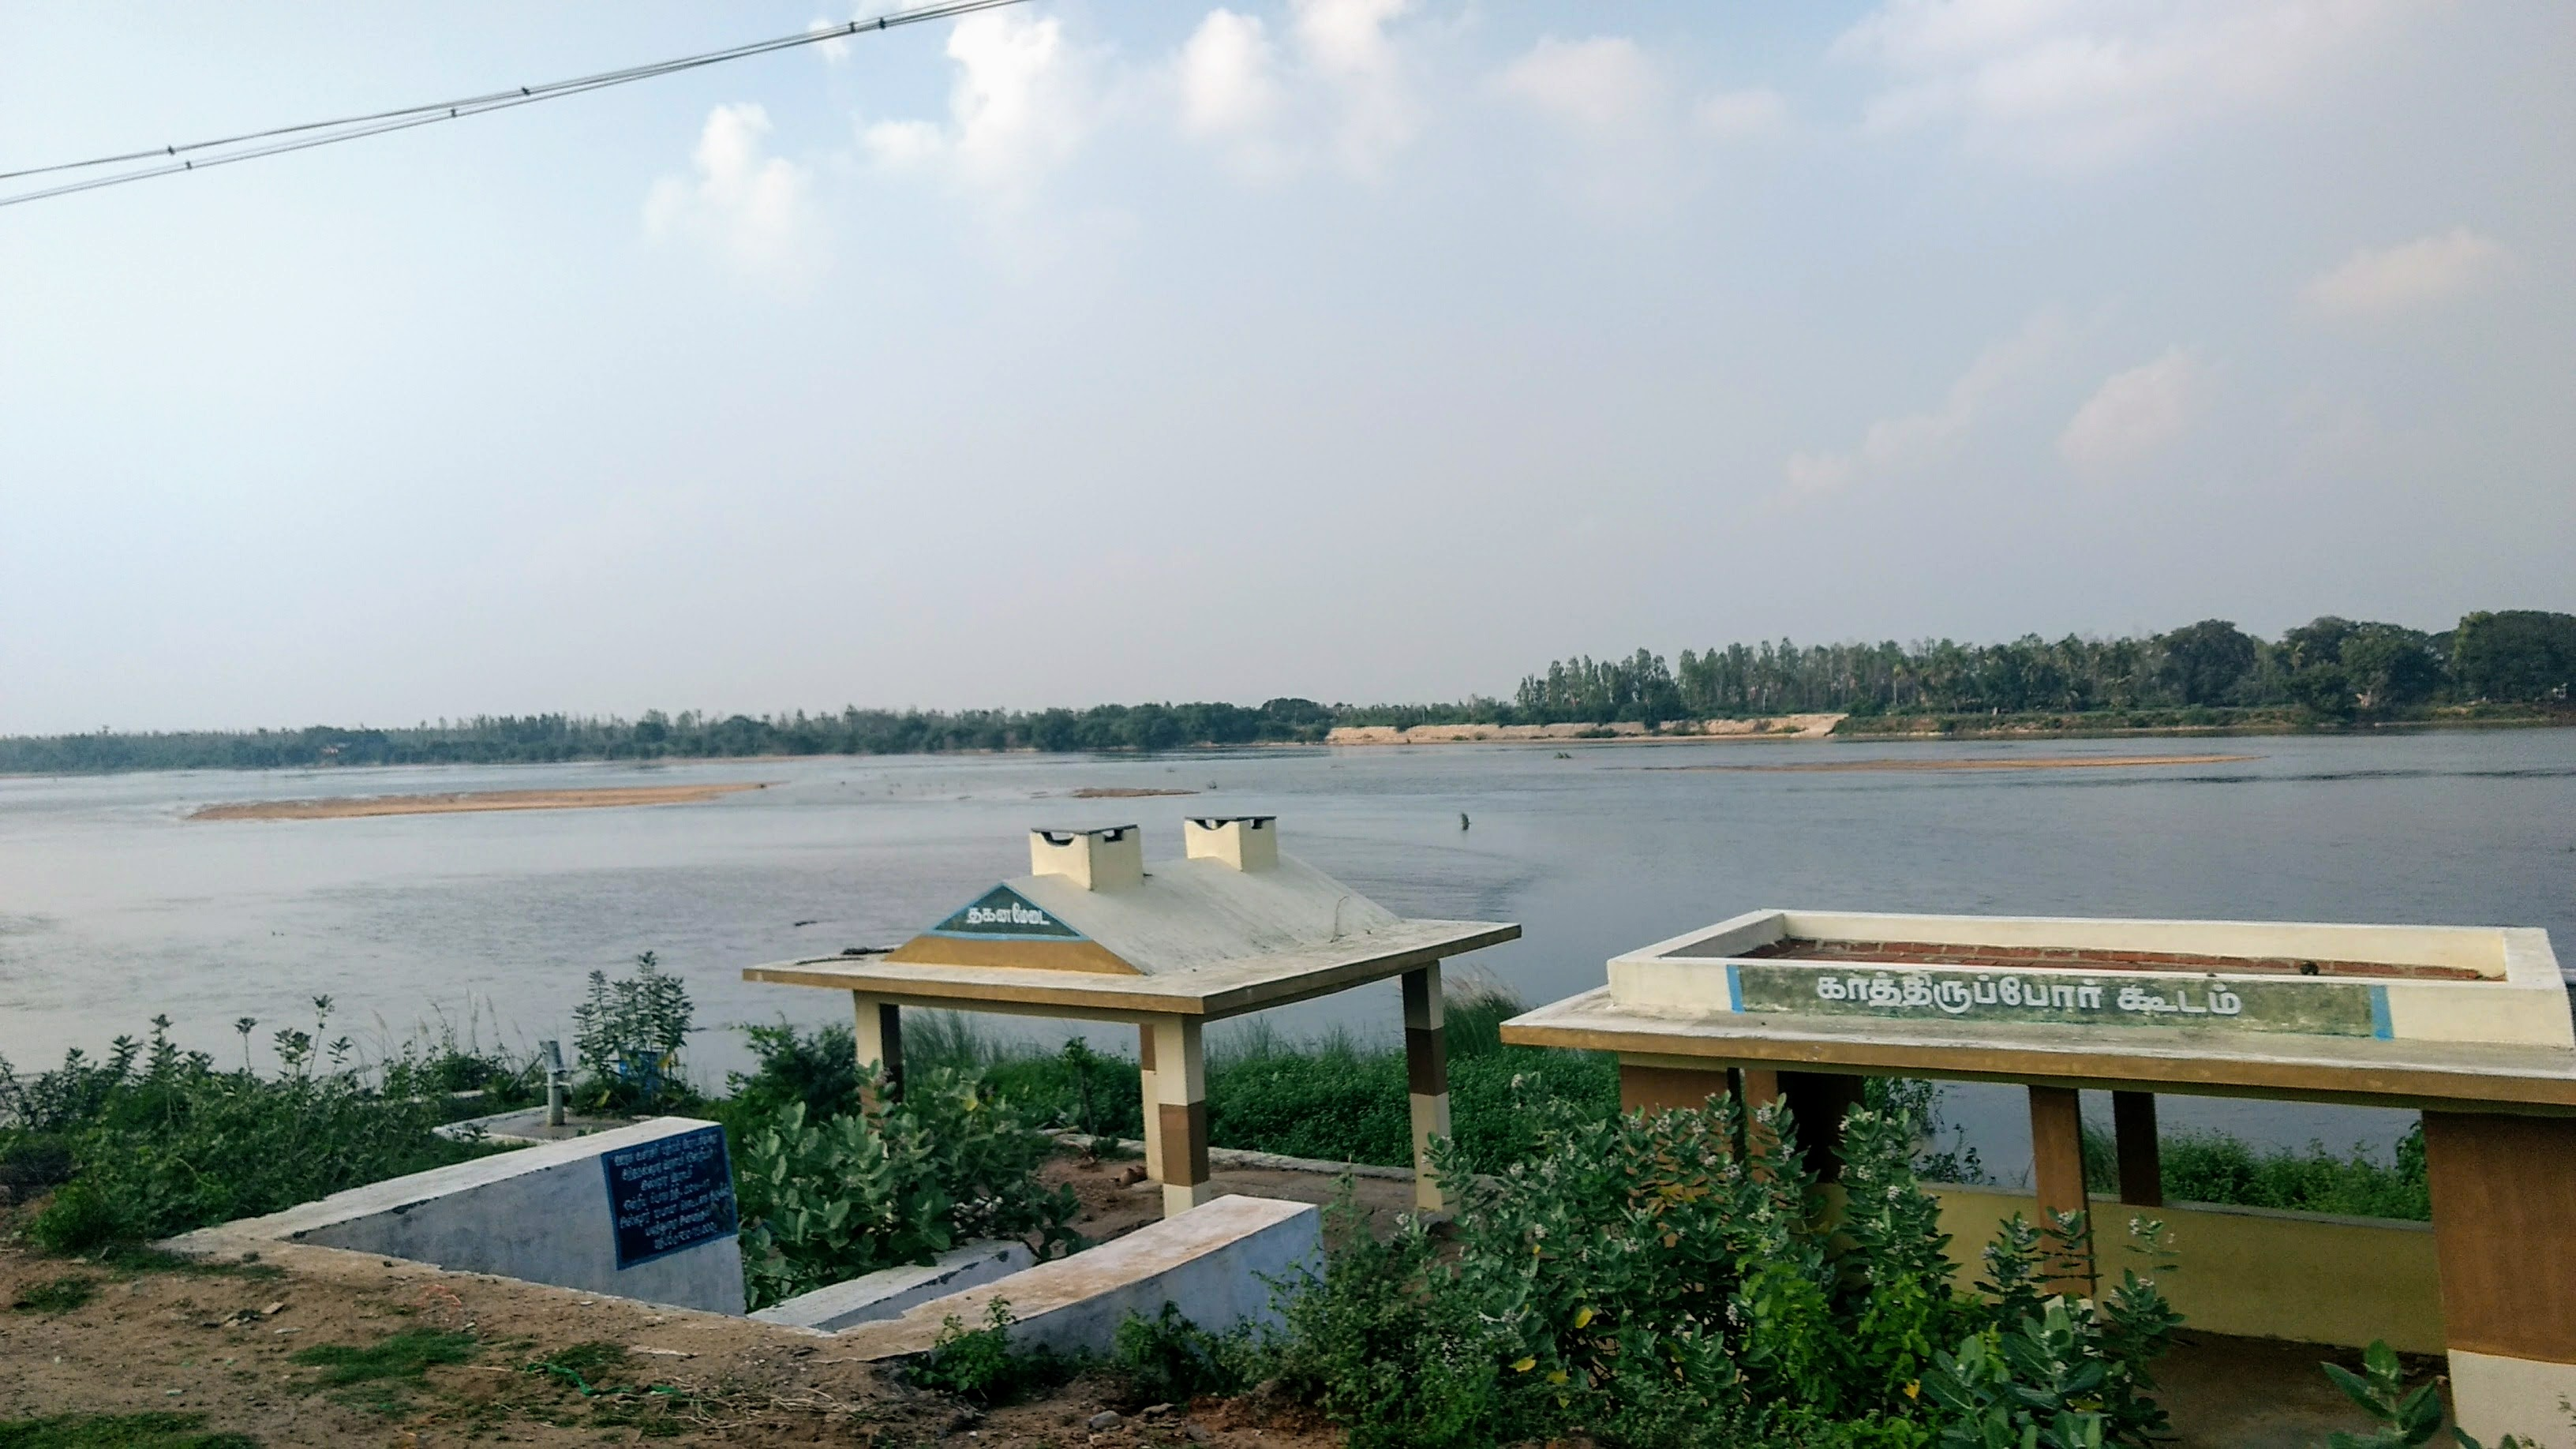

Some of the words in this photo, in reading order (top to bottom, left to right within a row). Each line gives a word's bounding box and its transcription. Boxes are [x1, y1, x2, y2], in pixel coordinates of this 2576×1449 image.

[963, 896, 1051, 930] தகனமேடை
[1814, 964, 2109, 1015] காத்திருப்போா்
[2111, 978, 2248, 1022] கூடம்